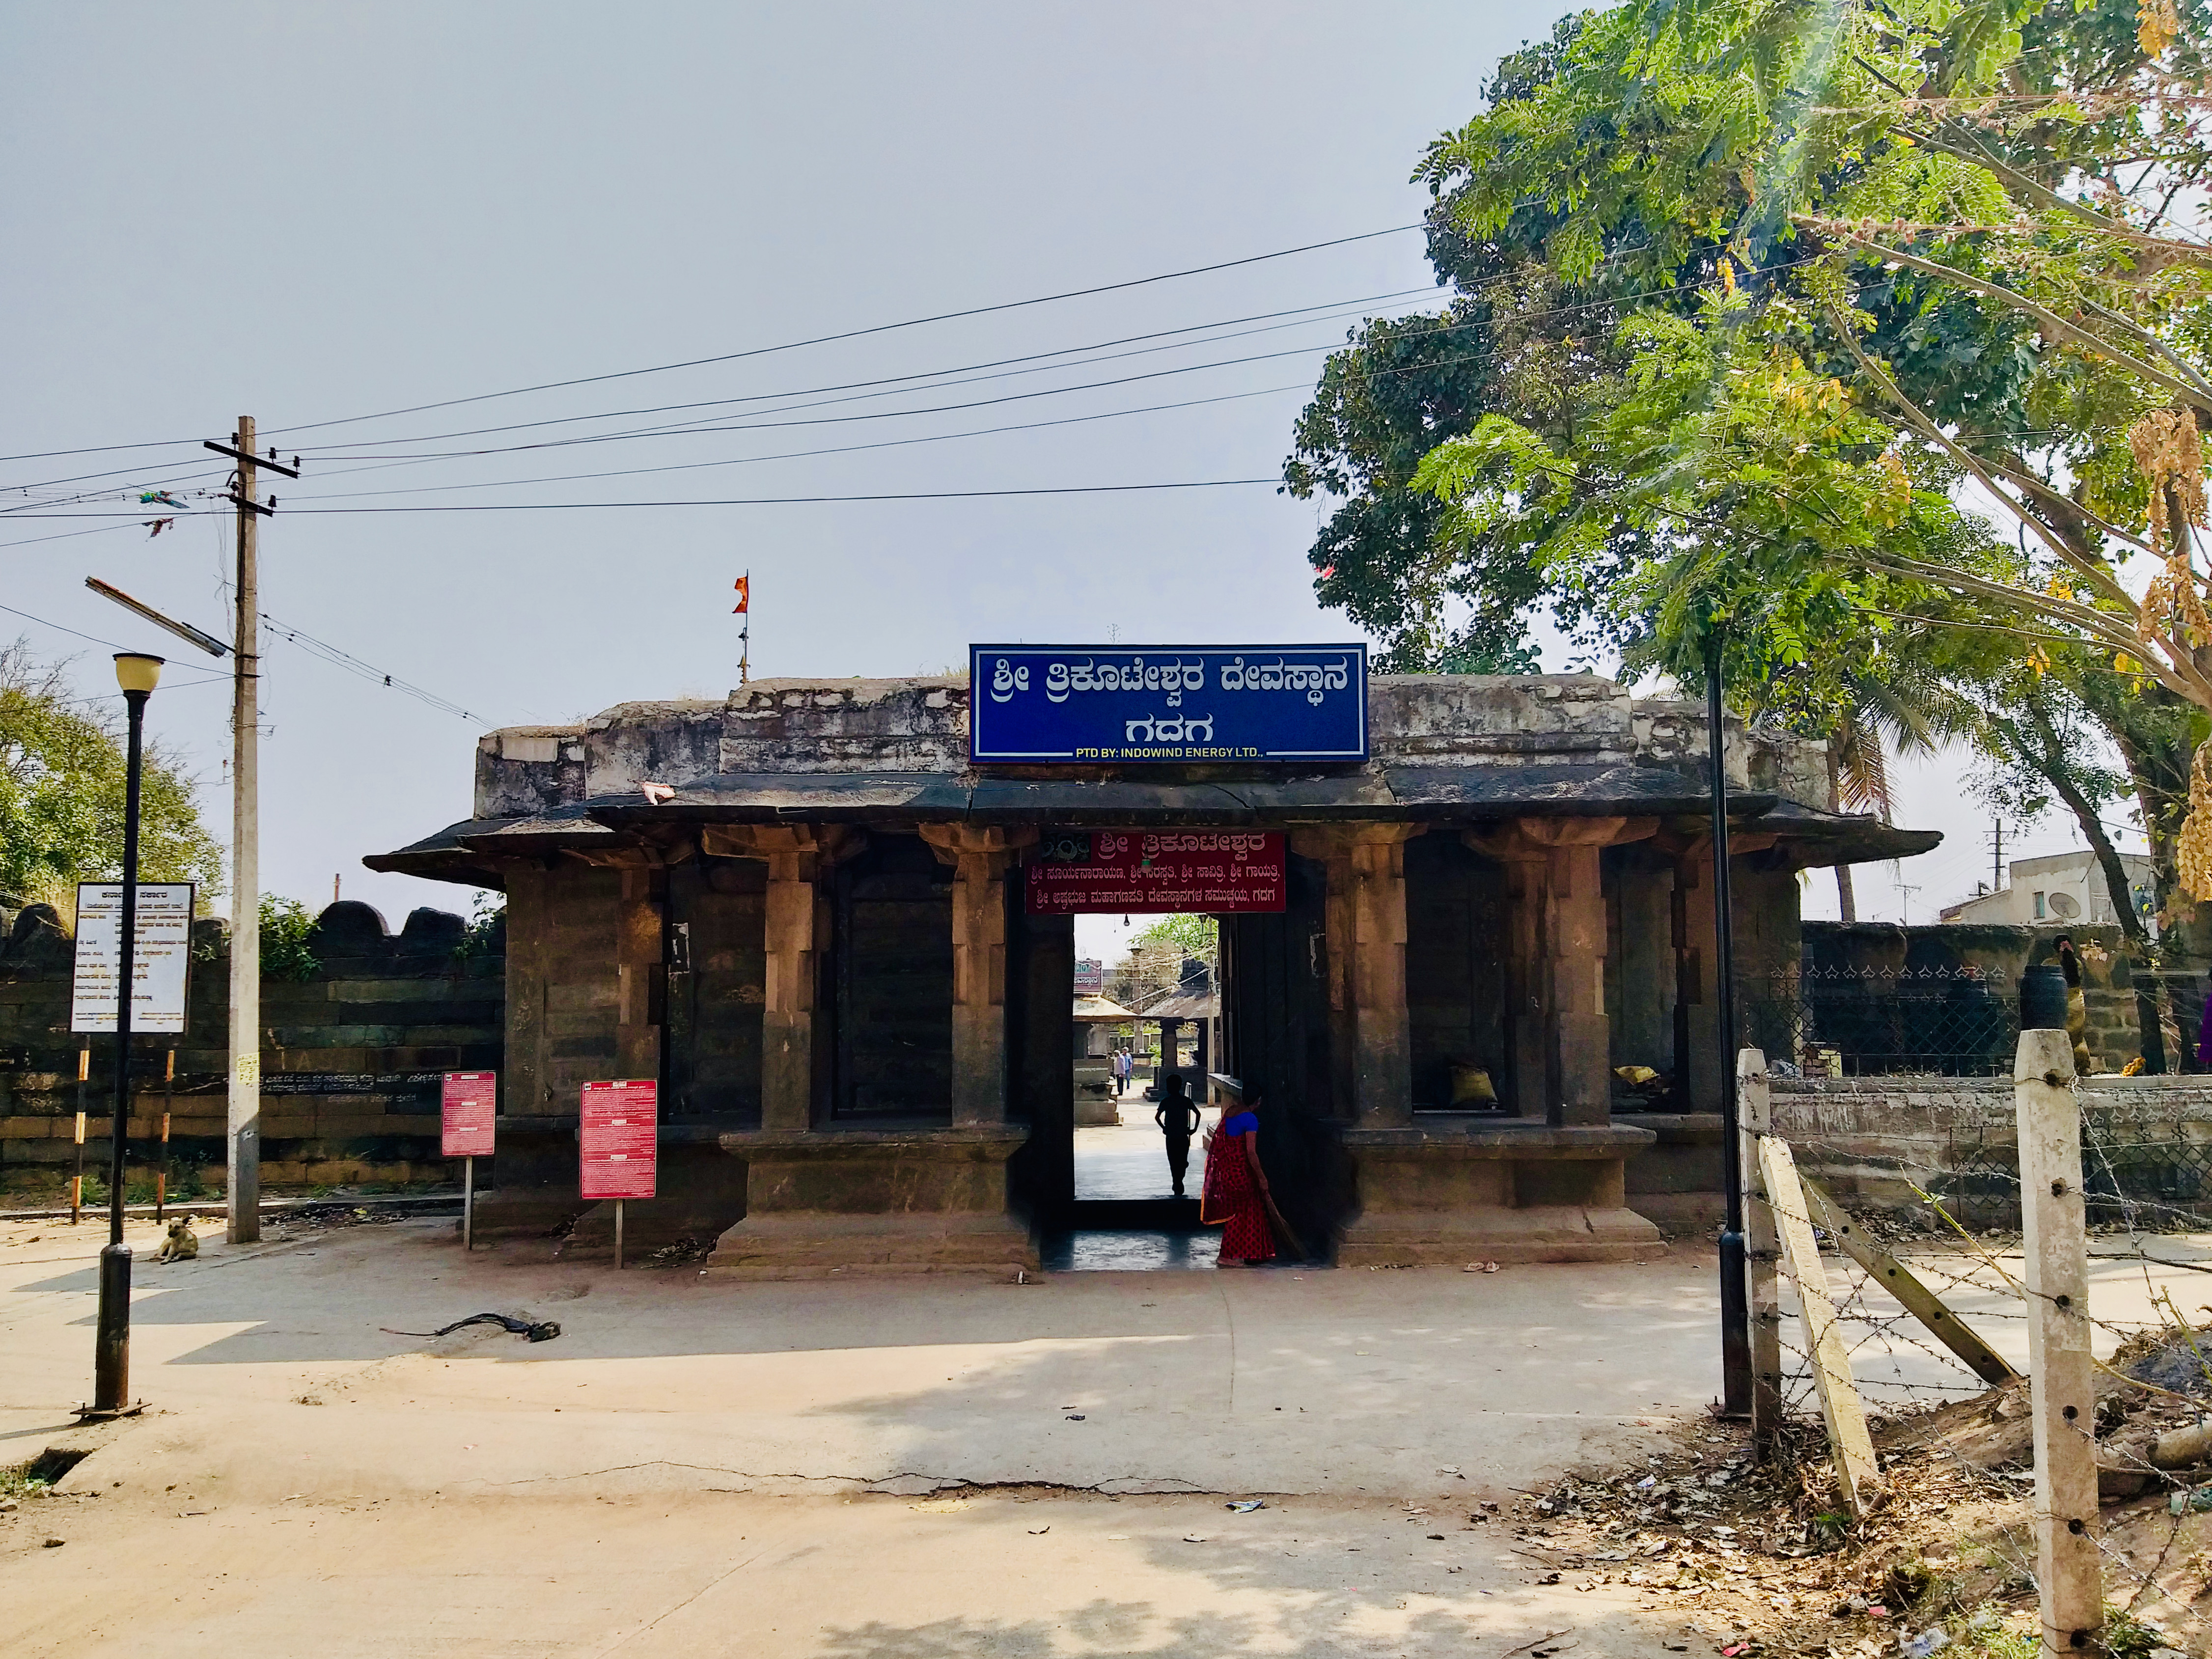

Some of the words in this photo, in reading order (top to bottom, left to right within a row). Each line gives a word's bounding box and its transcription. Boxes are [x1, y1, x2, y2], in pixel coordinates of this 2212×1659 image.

[988, 650, 1031, 706] ಶ್ರೀ
[1041, 651, 1206, 710] ತ್ರಿಕೂಟೇಶ್ವರ
[1218, 653, 1350, 709] ದೇವಸ್ಧಾನ
[1121, 711, 1215, 746] ಗದಗ
[1073, 746, 1100, 761] PTD
[1099, 745, 1120, 761] BY:
[1118, 747, 1184, 760] INDOWIND
[1183, 745, 1235, 759] ENERGY
[1234, 743, 1261, 761] 170್
[1094, 825, 1132, 866] ಶ್ರೀ
[1136, 829, 1266, 863] ತ್ರಿಕೂಟೇಶ್ವರ
[1027, 862, 1046, 887] ಶ್ರೀ
[1045, 861, 1128, 884] ಸೂರ್ಯನಾರಾಯಣ
[1124, 861, 1179, 888] ಶ್ರೀ ಸರಸ್ವತಿ,
[1178, 859, 1195, 889] ಶ್ರೀ
[1195, 860, 1226, 885] ಸಾವಿತ್ರ
[1224, 860, 1244, 885] ಶ್ರೀ
[1241, 862, 1282, 885] ಗಾಯತ್ರ
[1032, 885, 1051, 912] ಶ್ರೀ
[1050, 885, 1088, 911] ಅಷ್ಠಭುಜ
[1088, 884, 1146, 906] ಮಹಾಗಣಪತಿ
[1146, 885, 1204, 911] ದೇವಸ್ಧಾನಗಳ
[1202, 884, 1250, 910] ಸಮುಚ್ಚಯ,
[1249, 883, 1278, 904] ಗದಗ
[1072, 972, 1102, 989] ವಸ್ಥಾನ